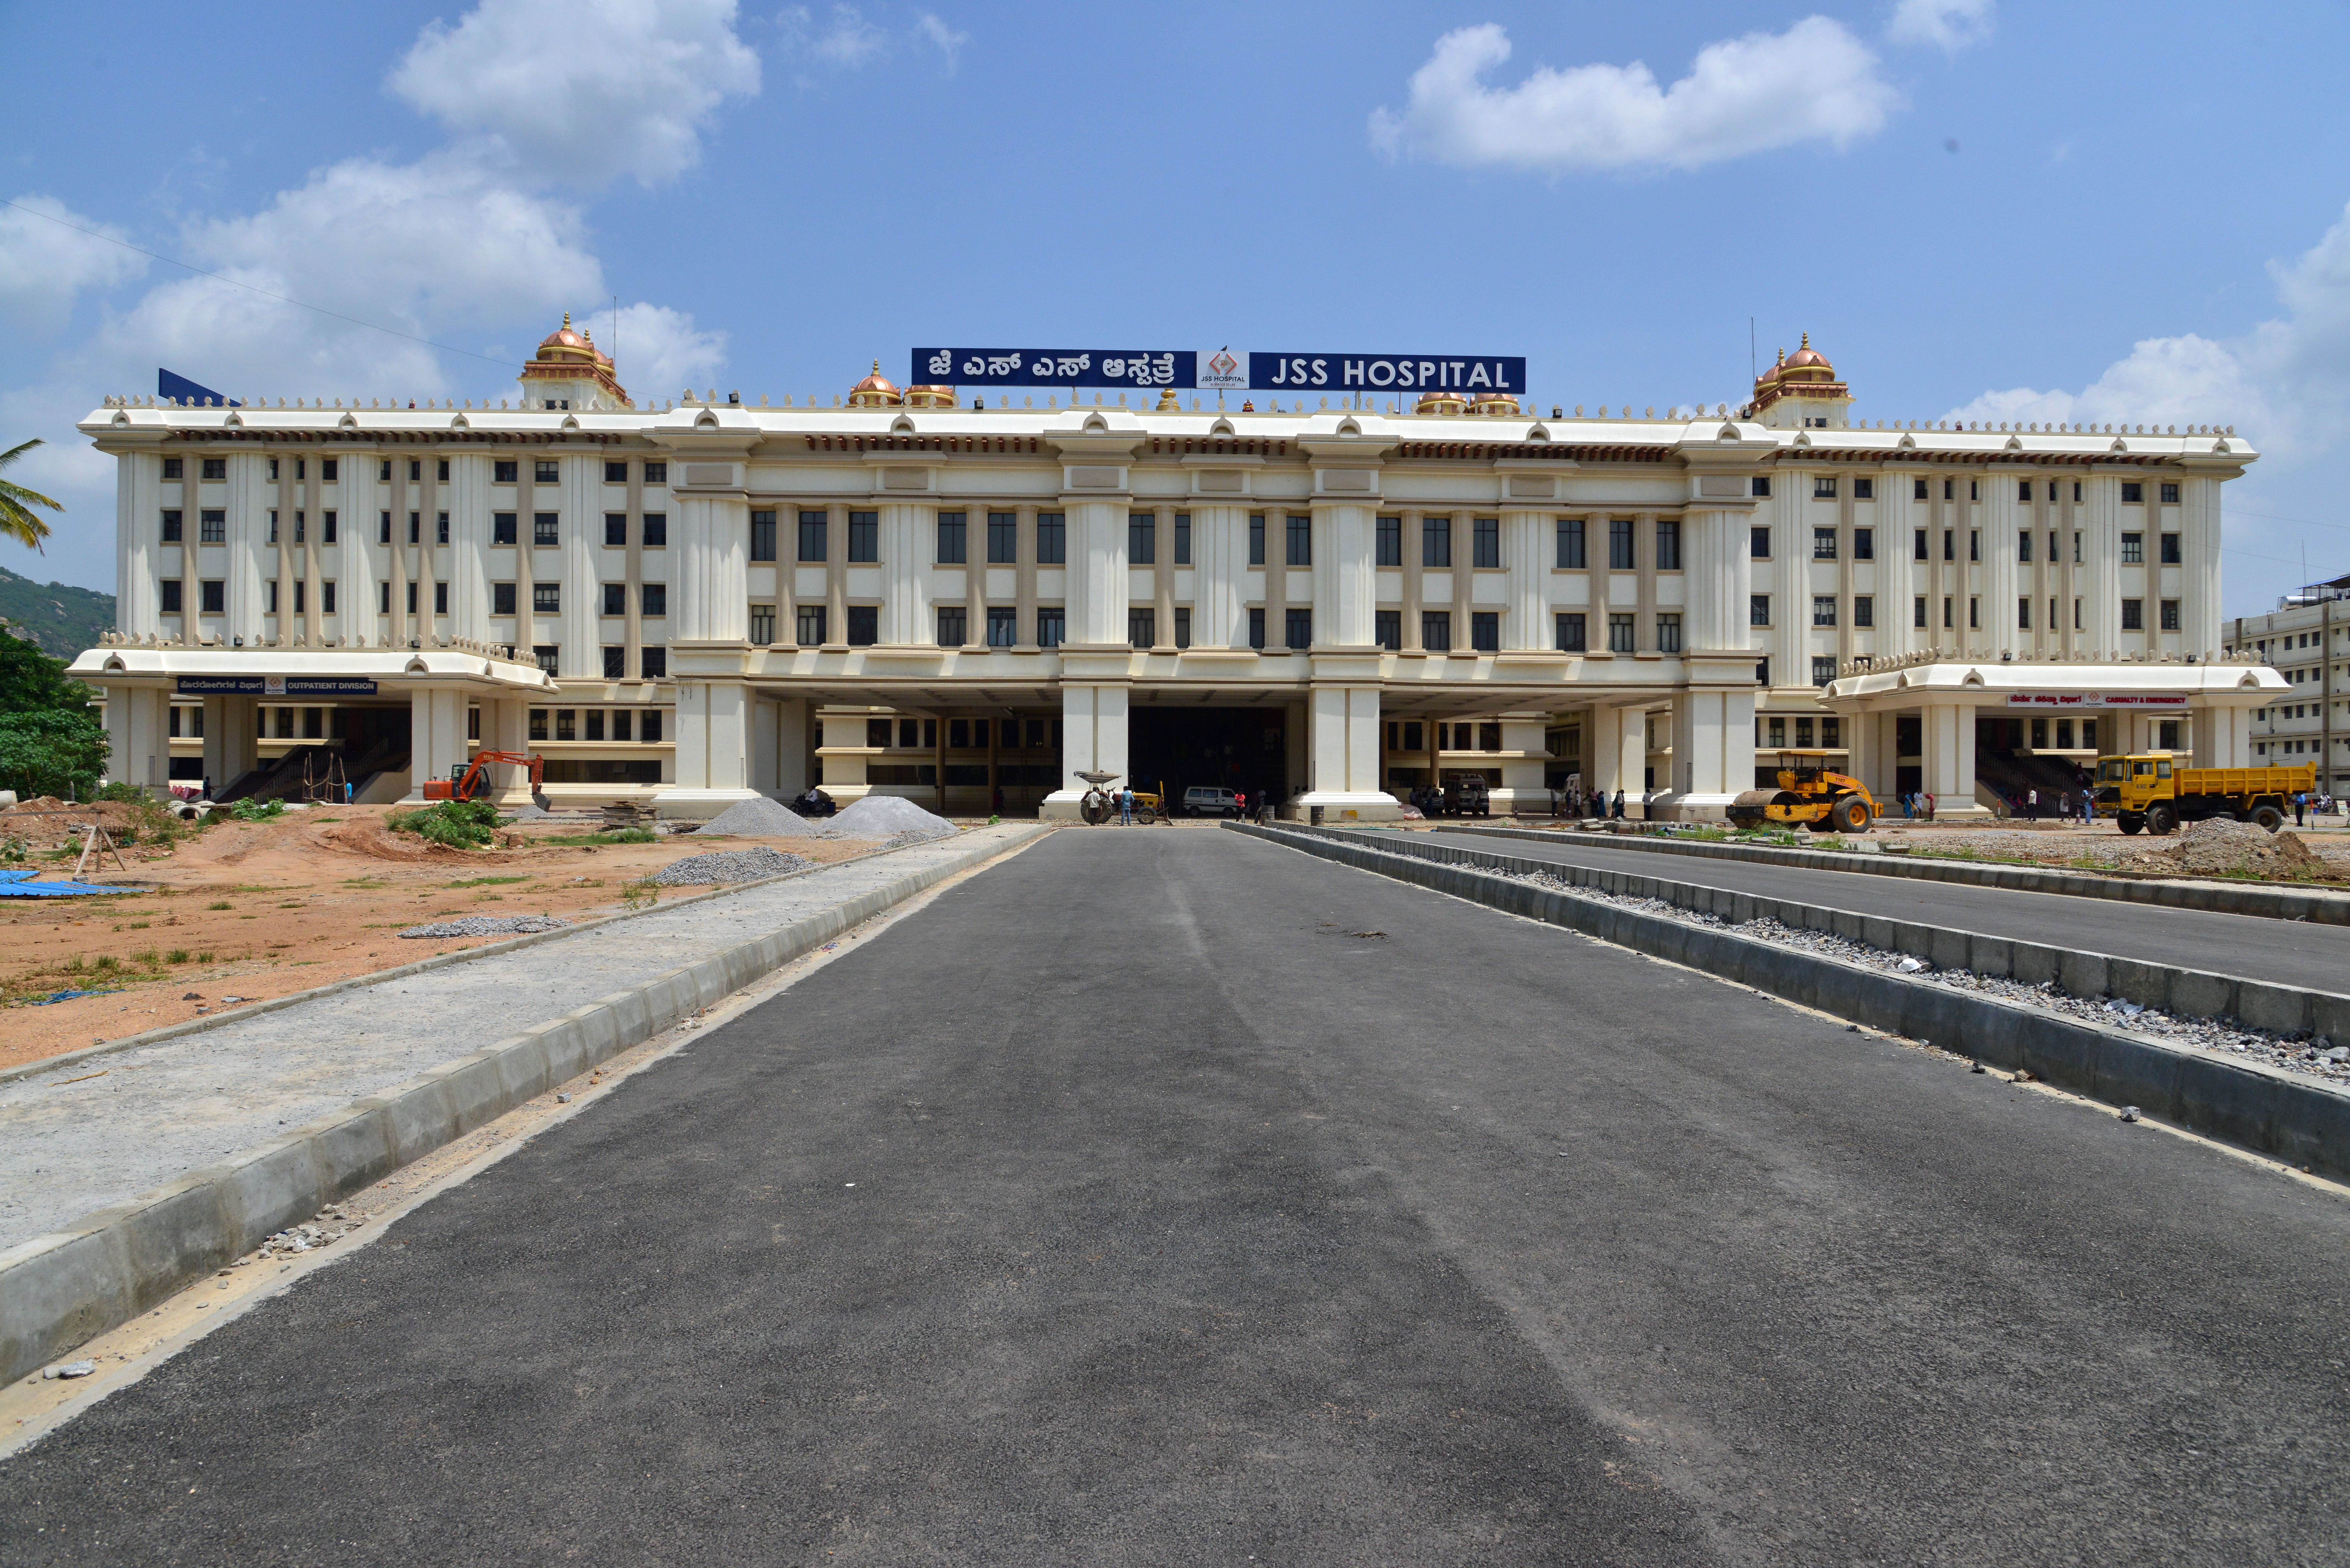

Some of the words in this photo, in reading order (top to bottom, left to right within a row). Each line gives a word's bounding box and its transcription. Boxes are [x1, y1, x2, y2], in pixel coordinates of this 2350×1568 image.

[927, 344, 954, 376] ಜೆ
[959, 350, 1023, 379] ಎಸ್
[1030, 351, 1092, 379] ಎಸ್
[1099, 350, 1177, 387] ಆಸ್ಪತ್ರ
[1198, 374, 1215, 384] JSS
[1213, 381, 1226, 387] SERVICE
[1224, 381, 1231, 388] 10
[1213, 375, 1247, 383] HOSPITAL
[1229, 381, 1237, 387] LIFE
[1268, 357, 1331, 388] JSS
[1342, 358, 1511, 389] HOSPITAL
[178, 678, 237, 690] ಹೊರರೋಗಿಗಳ
[287, 678, 337, 690] OUTPATIENT
[337, 681, 375, 691] DIVISION
[2008, 692, 2033, 703] ತುರ್ತು
[2033, 691, 2058, 706] ಚಕಿತ್ಹ
[2059, 694, 2084, 705] Depart
[2105, 696, 2139, 705] CASUALTY
[2138, 696, 2145, 704] &
[2144, 696, 2187, 704] EMERGENCY